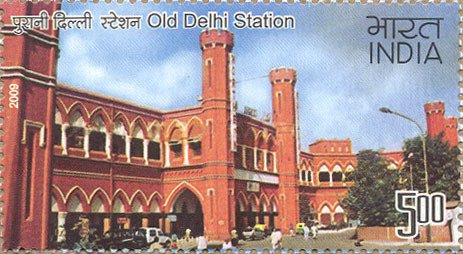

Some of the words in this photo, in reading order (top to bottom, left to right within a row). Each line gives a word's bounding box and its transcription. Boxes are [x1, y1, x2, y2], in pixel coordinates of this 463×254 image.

[10, 4, 52, 37] पुरानी
[50, 5, 95, 32] दिल्ली
[99, 10, 143, 32] स्टेशन
[144, 8, 179, 32] Old
[181, 10, 229, 31] Delhi
[234, 10, 296, 32] Station
[362, 12, 445, 42] भारत
[366, 39, 443, 66] INDIA
[5, 82, 21, 111] 2009
[392, 188, 450, 242] 500